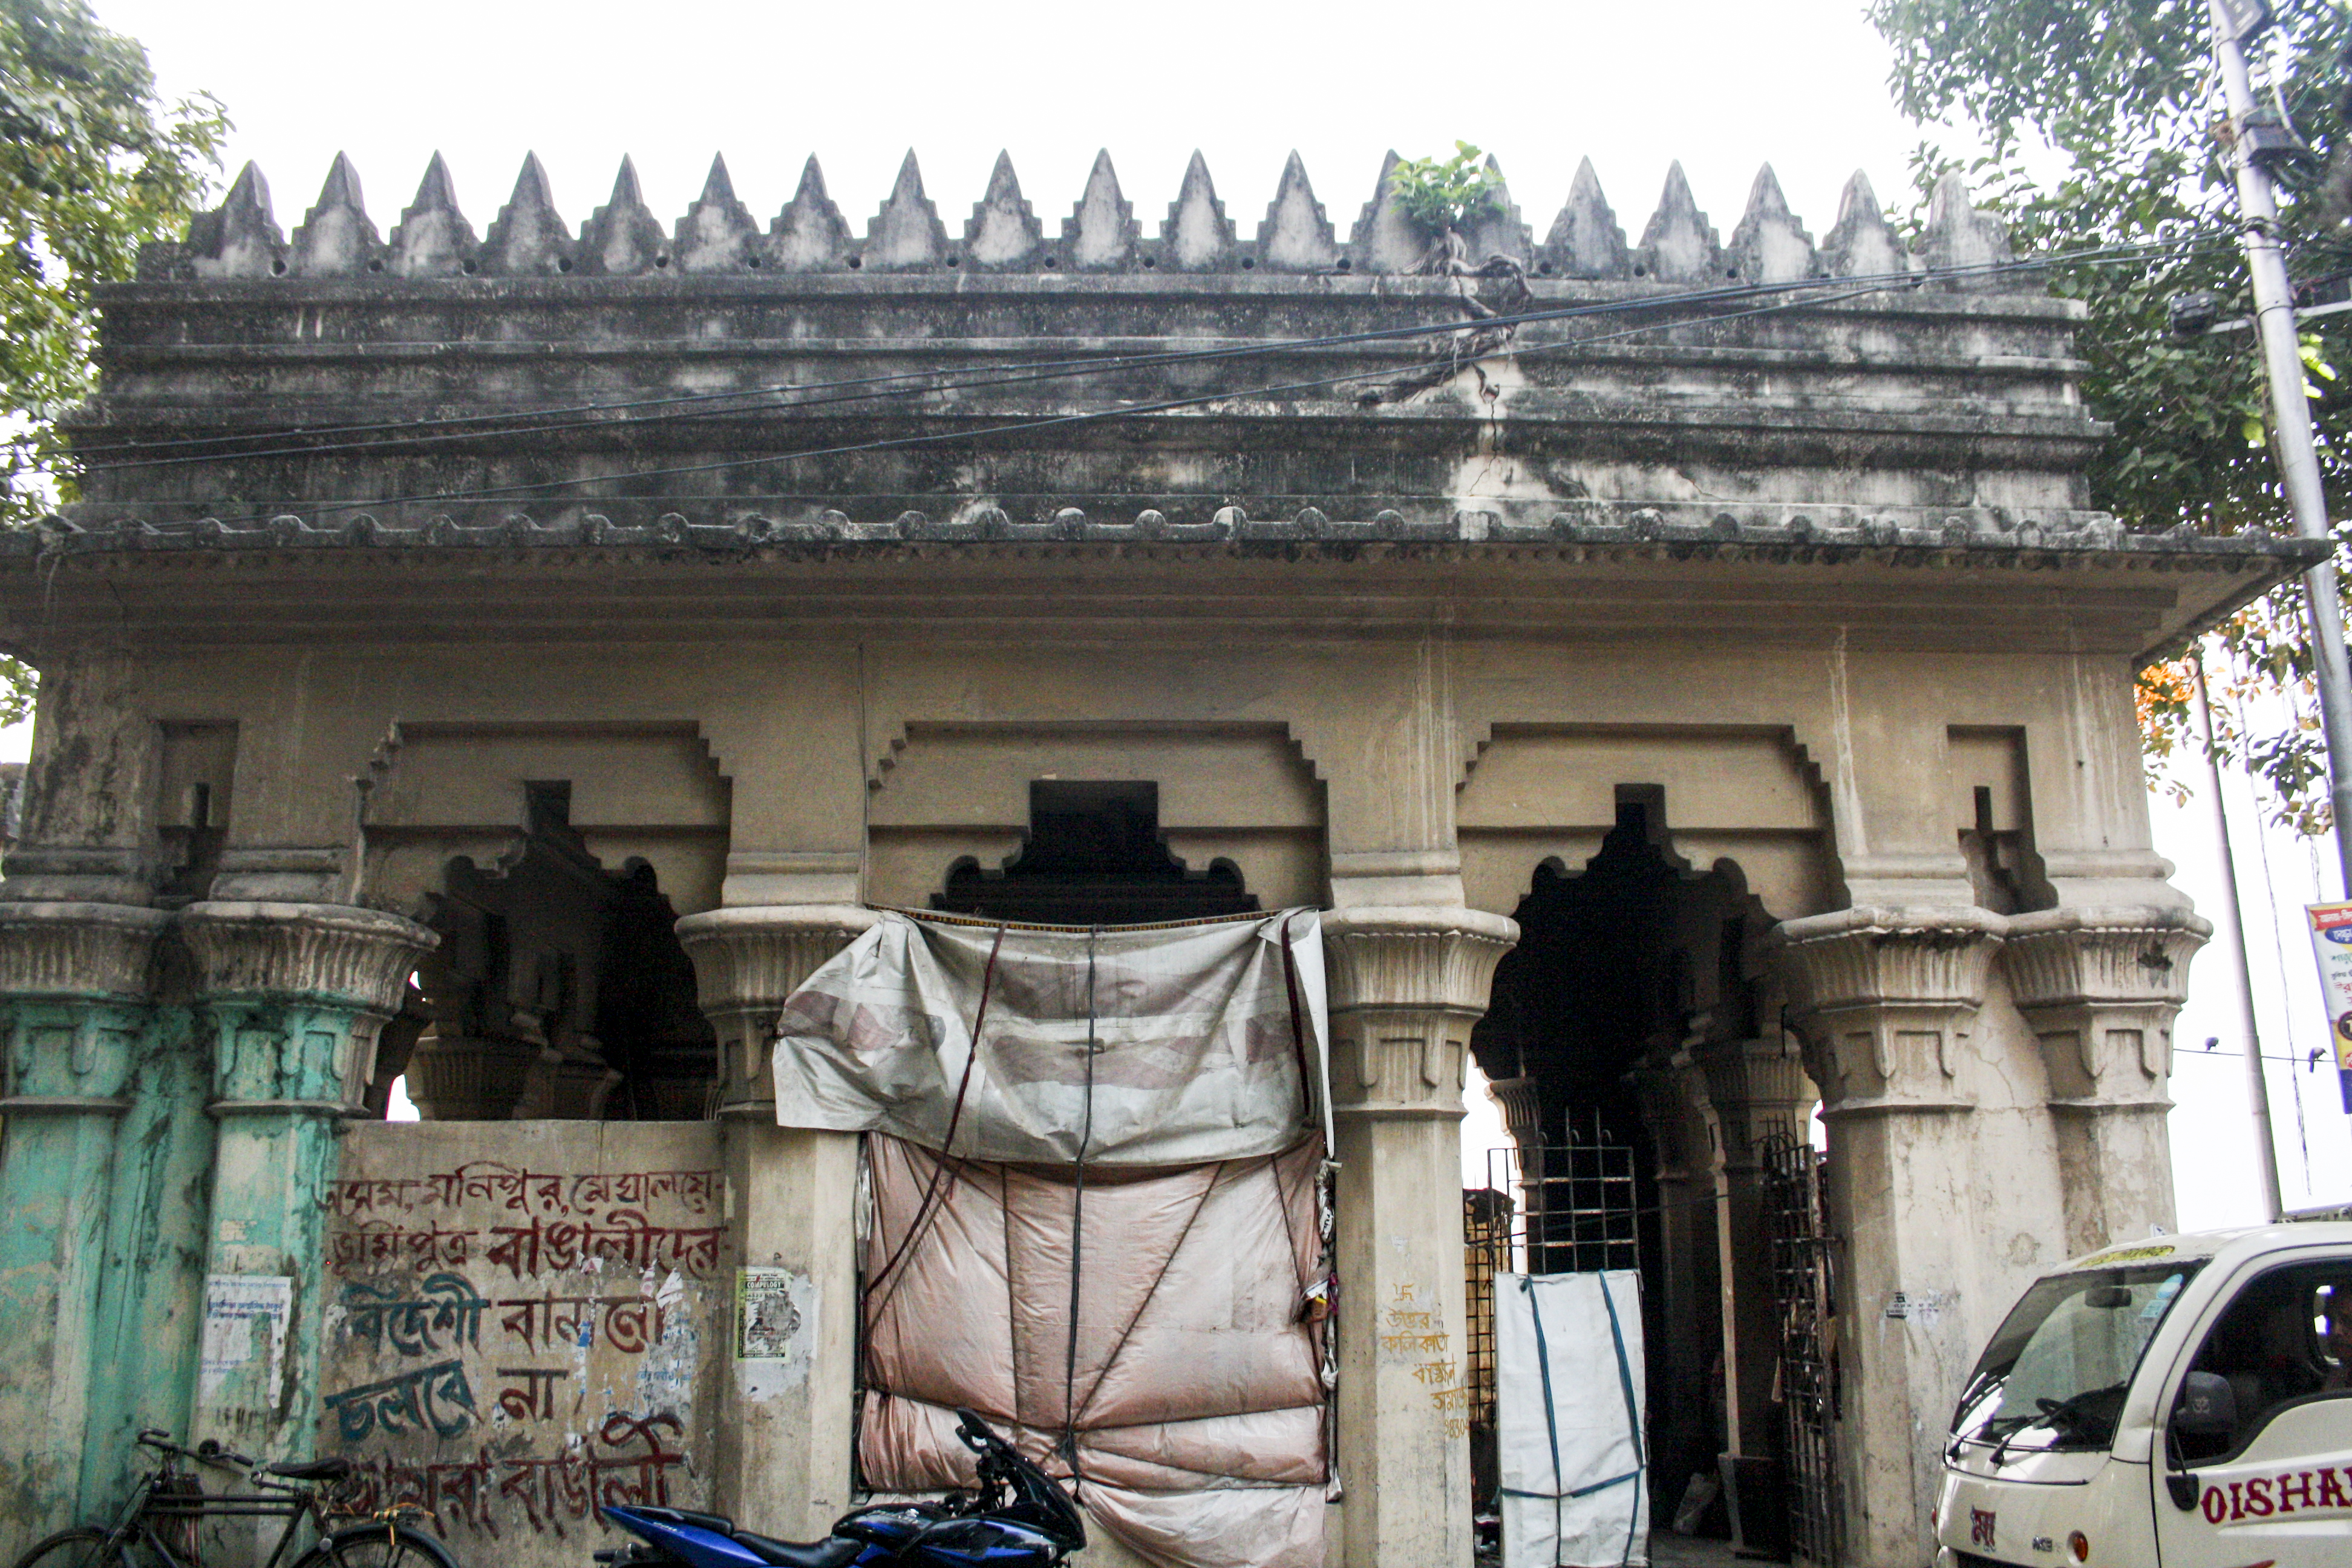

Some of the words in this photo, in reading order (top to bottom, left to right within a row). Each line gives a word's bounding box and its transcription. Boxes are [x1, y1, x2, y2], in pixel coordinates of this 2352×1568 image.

[303, 1169, 421, 1223] অসম,
[408, 1158, 573, 1221] মনিপুর
[562, 1165, 725, 1221] মেঘালয়ে
[315, 1210, 479, 1279] ভূমিপুত্র
[481, 1201, 735, 1283] বাঙালীদের
[327, 1263, 496, 1368] বিদেশী
[314, 1354, 494, 1449] চলবে
[479, 1359, 571, 1438] না
[380, 1402, 689, 1545] অপুর বাঙালী
[2197, 1460, 2347, 1530] OISHA